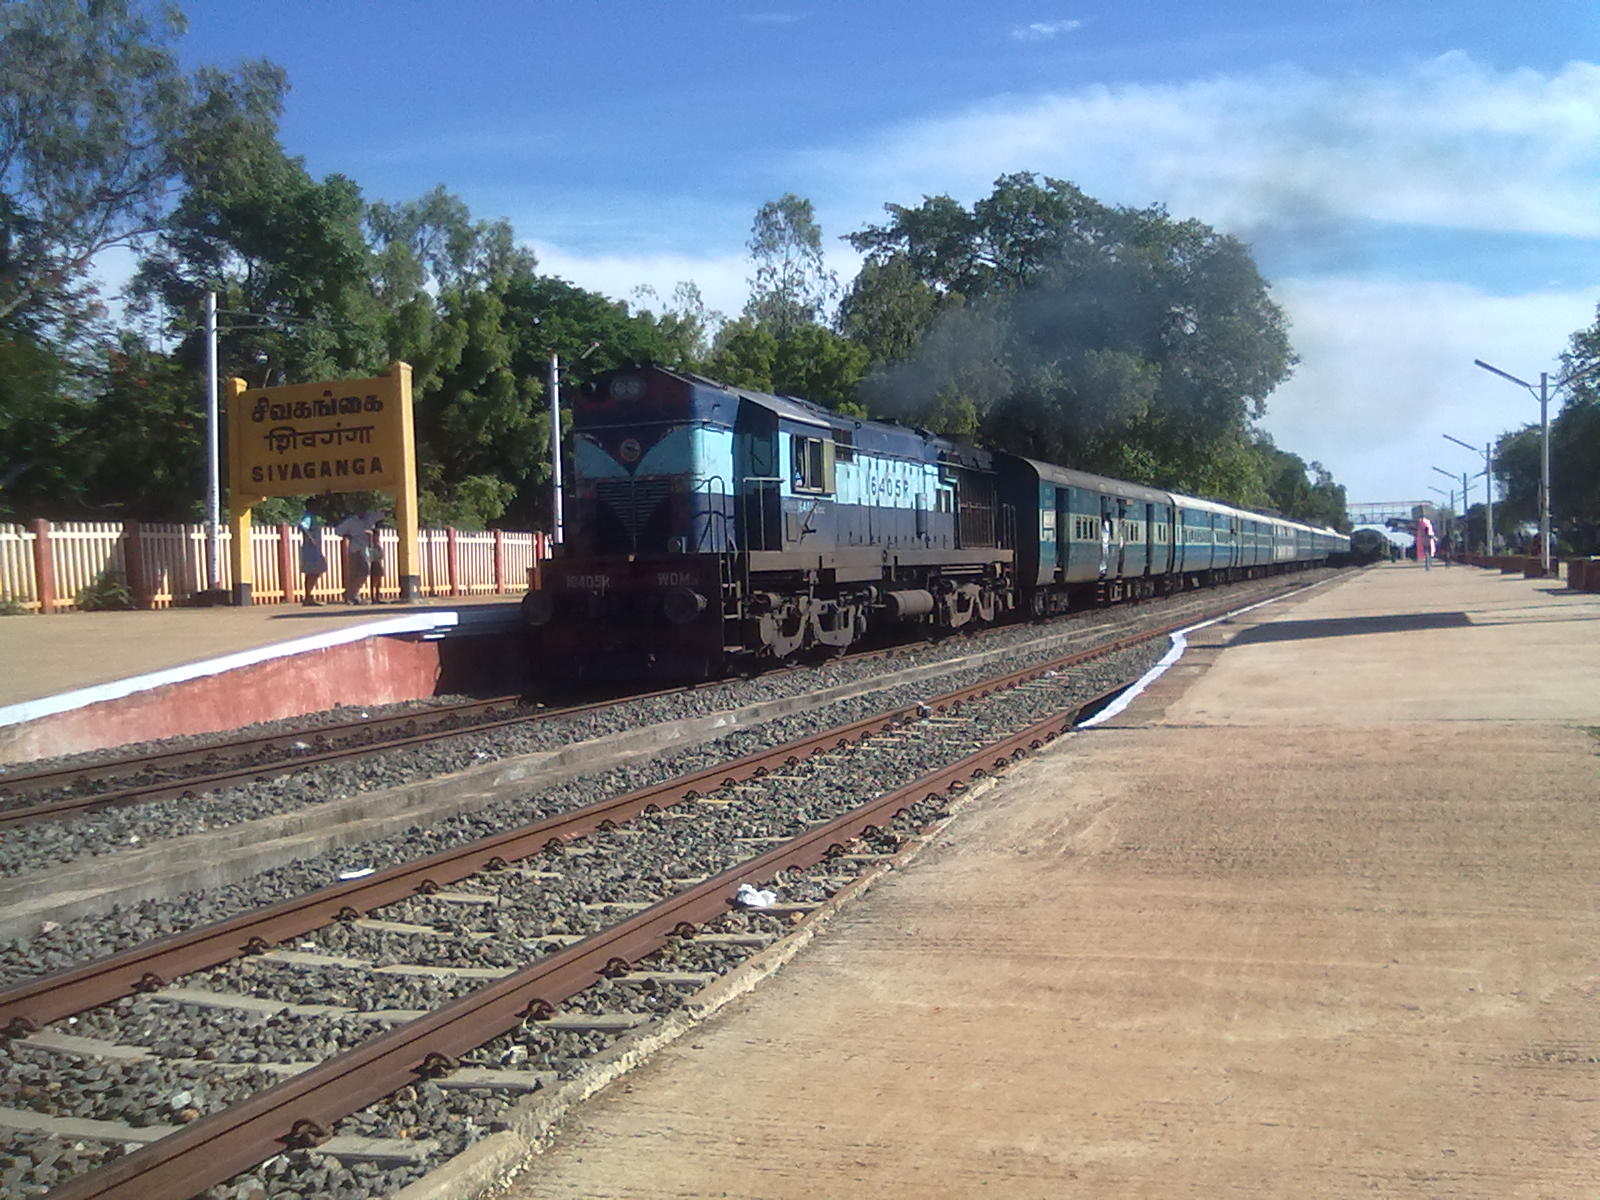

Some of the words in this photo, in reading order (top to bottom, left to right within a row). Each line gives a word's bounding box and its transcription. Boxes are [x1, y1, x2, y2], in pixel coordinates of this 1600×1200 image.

[245, 382, 391, 426] சிவகங்கை
[261, 415, 379, 458] शिवरांगा
[245, 450, 389, 485] SIVAGANGA